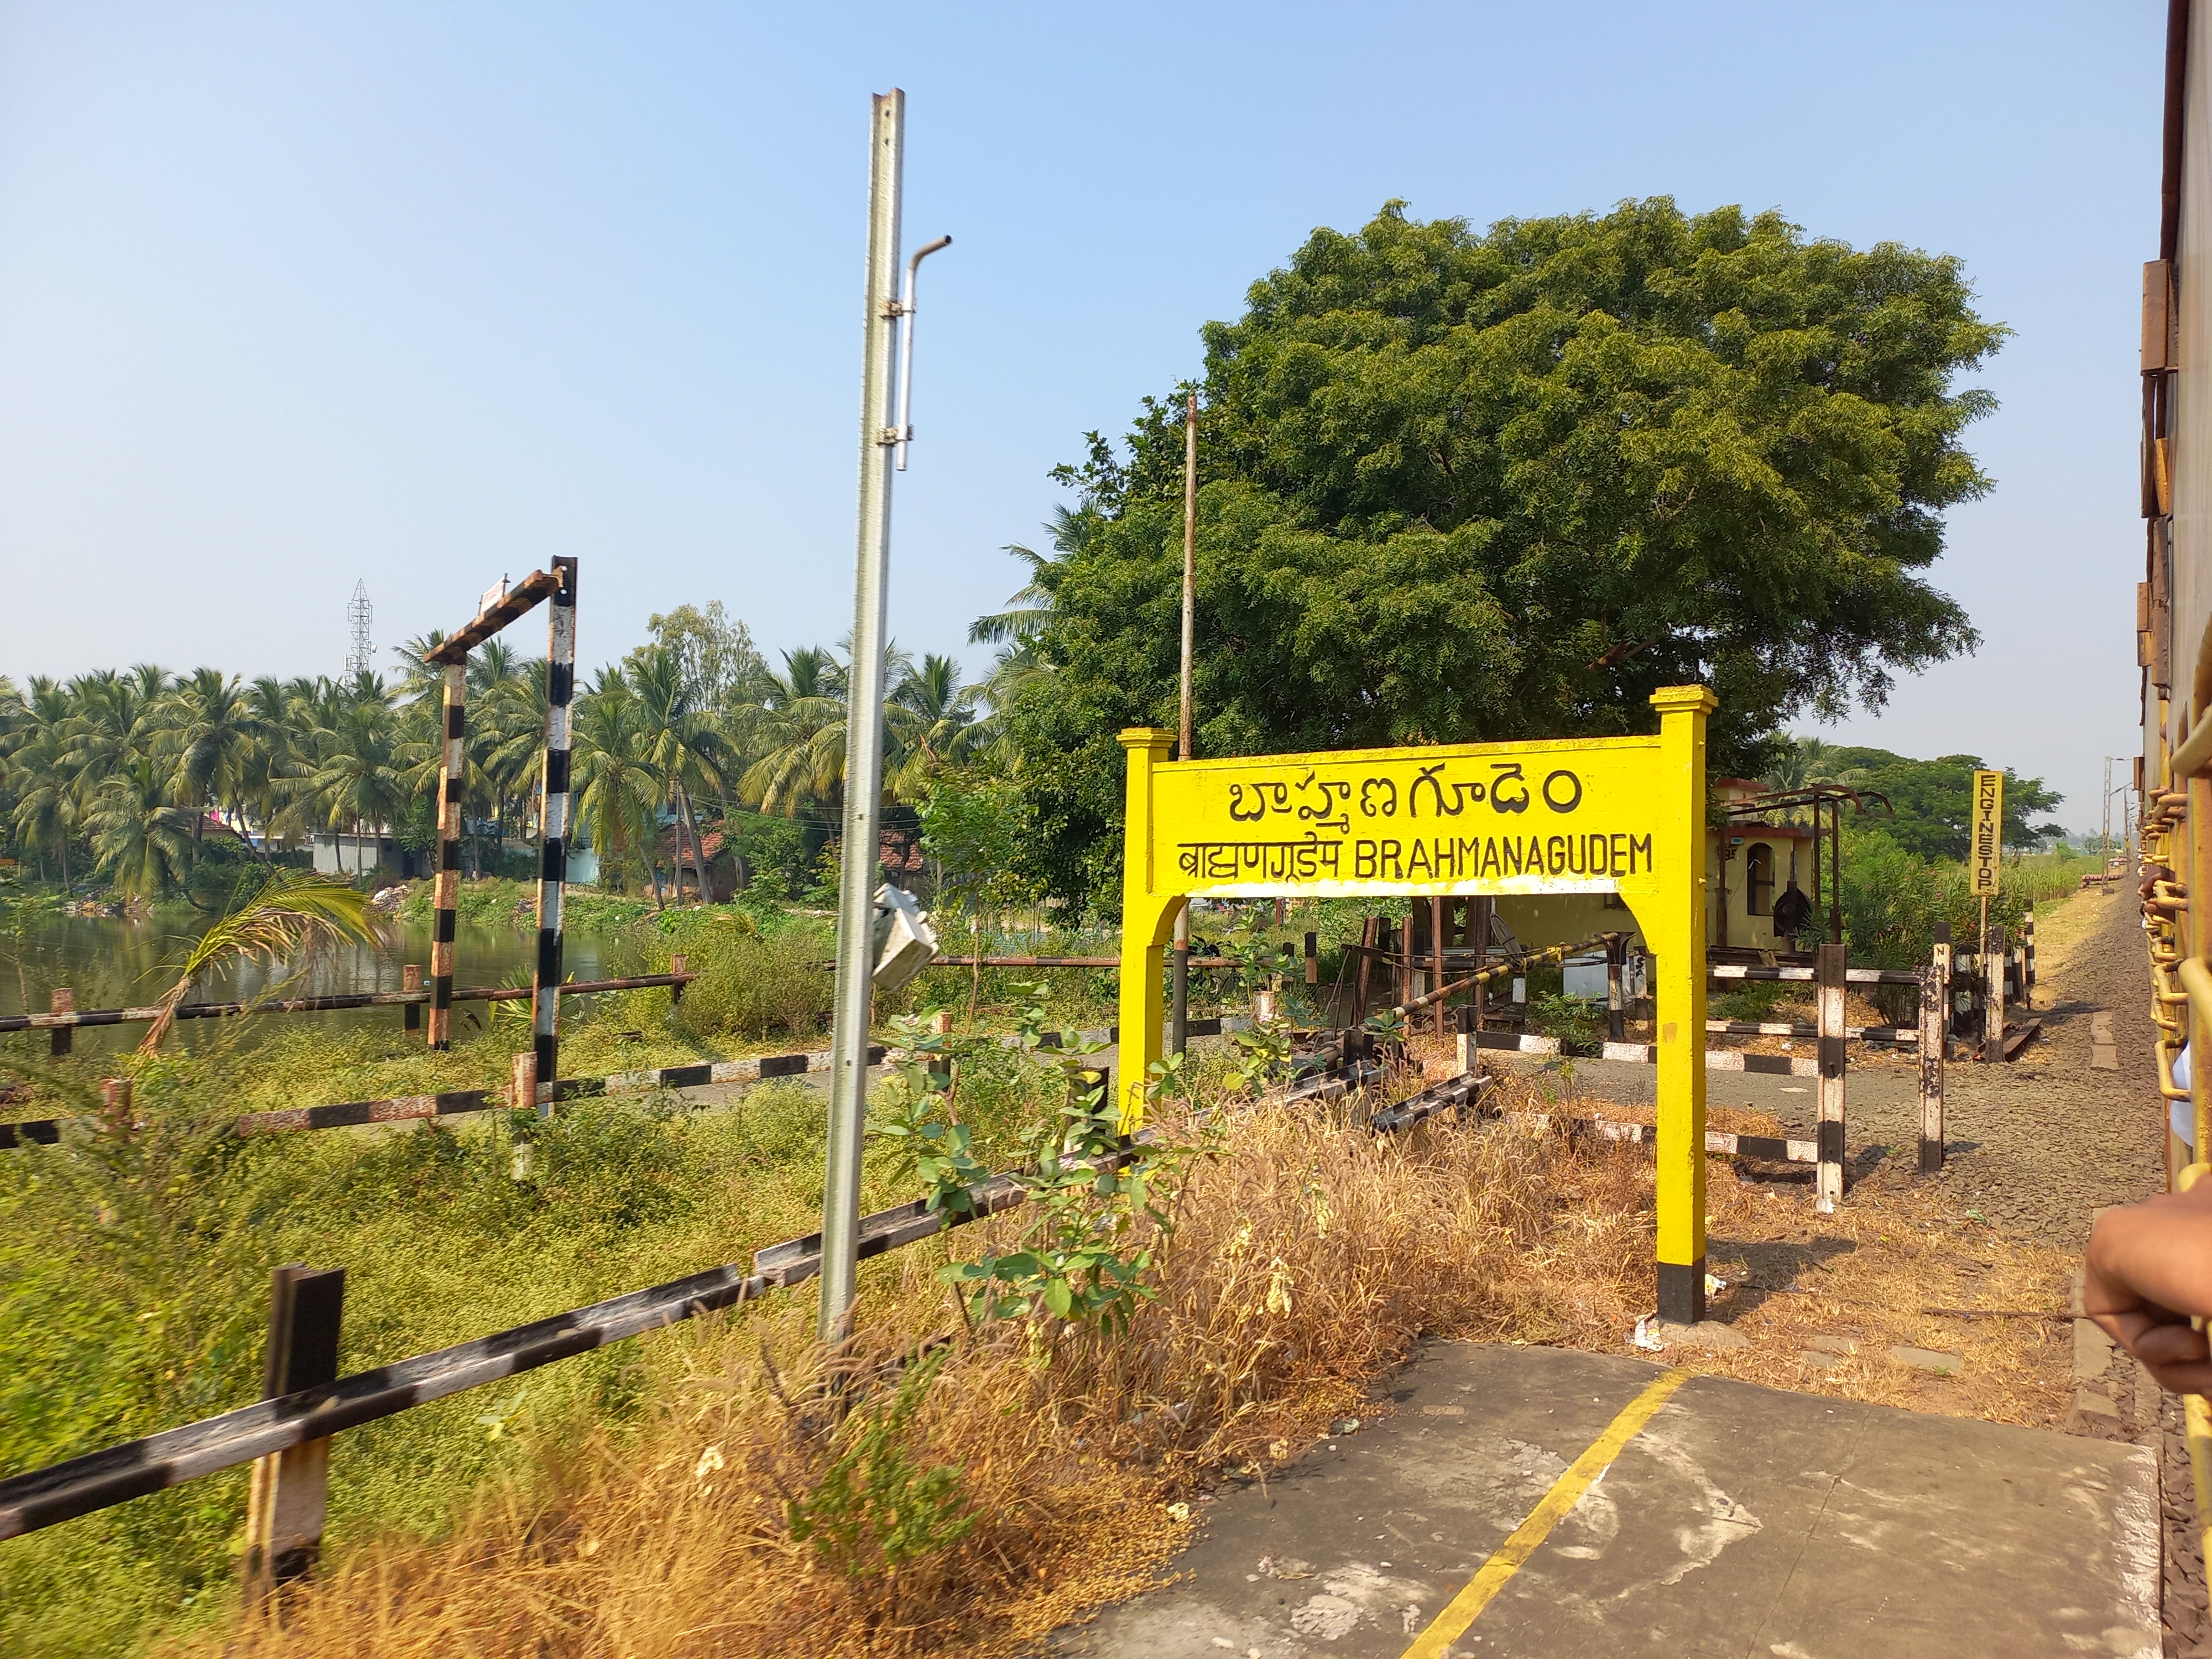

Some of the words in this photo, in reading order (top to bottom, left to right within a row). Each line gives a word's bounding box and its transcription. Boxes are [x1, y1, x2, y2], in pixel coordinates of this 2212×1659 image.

[1225, 760, 1585, 839] బాహ్మణగూడెం
[1178, 825, 1346, 888] ब्राह्मणगूडेम
[1353, 831, 1655, 882] BRAHMANAGUDEM